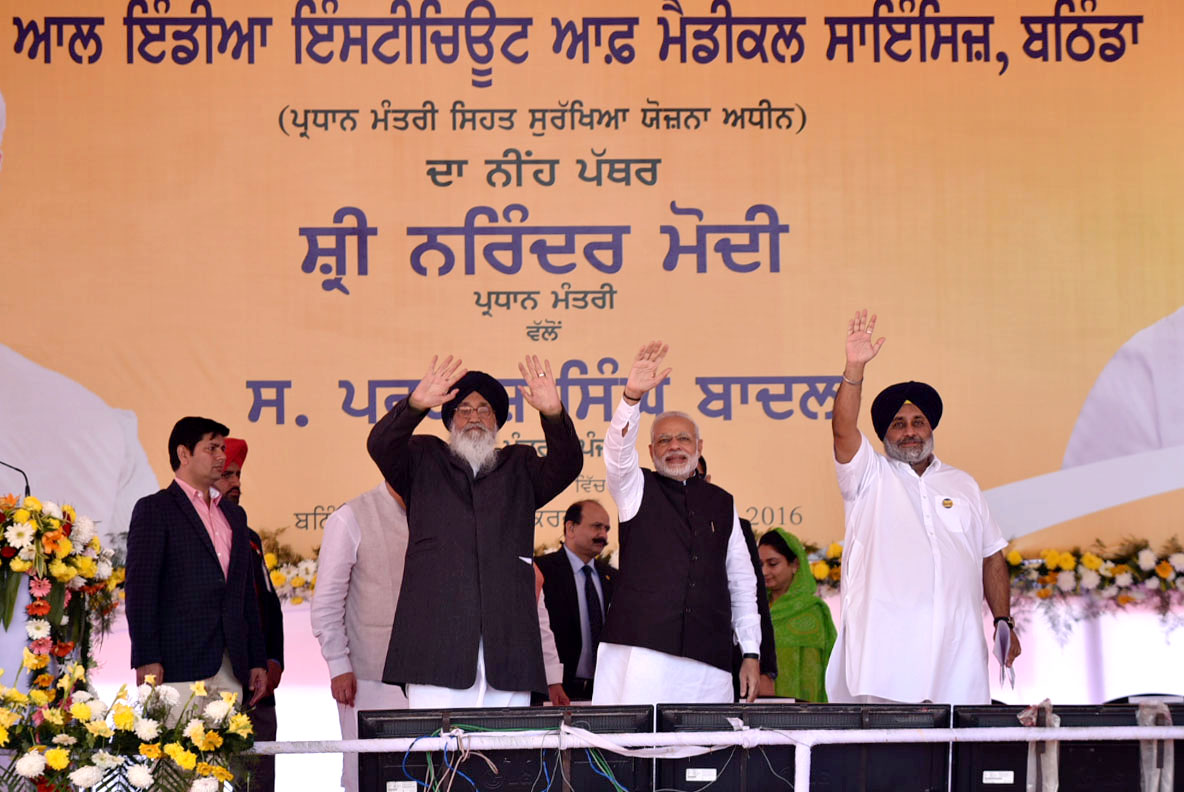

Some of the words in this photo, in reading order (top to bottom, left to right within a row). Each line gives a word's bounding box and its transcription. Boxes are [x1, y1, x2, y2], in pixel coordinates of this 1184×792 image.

[1, 2, 111, 72] ਆਲ
[111, 0, 279, 76] ਇੰਡੀਆ
[283, 0, 542, 94] ਇੰਸਟੀਚਿਊਟ
[541, 5, 651, 73] ਆਫ਼
[649, 0, 816, 79] ਮੈਡੀਕਲ
[814, 0, 1003, 71] ਸਾਇੰਸਿਜ਼
[1012, 0, 1149, 74] ਬਠਿੰਡਾ
[283, 97, 366, 144] ਪ੍ਰਧਾਨ
[364, 91, 443, 139] ਮੰਤਰੀ
[445, 93, 521, 139] ਸਿਹਤ
[523, 93, 635, 142] ਸੁਰੱਖਿਆ
[635, 89, 718, 142] ਯੋਜ਼ਨਾ
[717, 92, 801, 139] ਅਧੀਨ
[418, 155, 470, 193] ਦਾ
[481, 144, 561, 195] ਨੀਂਹ
[569, 143, 672, 195] ਪੱਥਰ
[285, 198, 389, 310] ਸ਼੍ਰੀ
[396, 200, 642, 283] ਨਰਿੰਦਰ
[648, 193, 803, 281] ਮੋਦੀ
[463, 283, 545, 319] ਪ੍ਰਧਾਨ
[543, 277, 624, 316] ਮੰਤਰੀ
[516, 313, 571, 347] ਵੱਲੋਂ
[235, 363, 321, 442] ਸ.
[327, 362, 383, 429] ਪ
[685, 369, 844, 434] ਬਾਦਲ
[573, 469, 611, 497] ਵਿੱਚ
[289, 503, 342, 533] ਬ
[743, 503, 808, 528] 2016